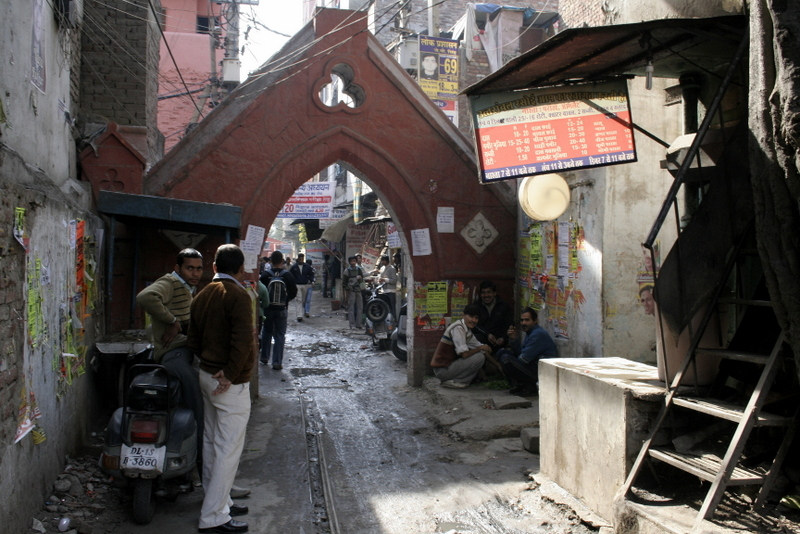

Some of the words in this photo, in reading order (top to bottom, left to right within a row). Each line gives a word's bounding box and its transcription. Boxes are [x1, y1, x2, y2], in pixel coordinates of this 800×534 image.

[415, 34, 437, 49] लोक
[433, 37, 459, 51] प्रशासन
[126, 440, 161, 473] 3860